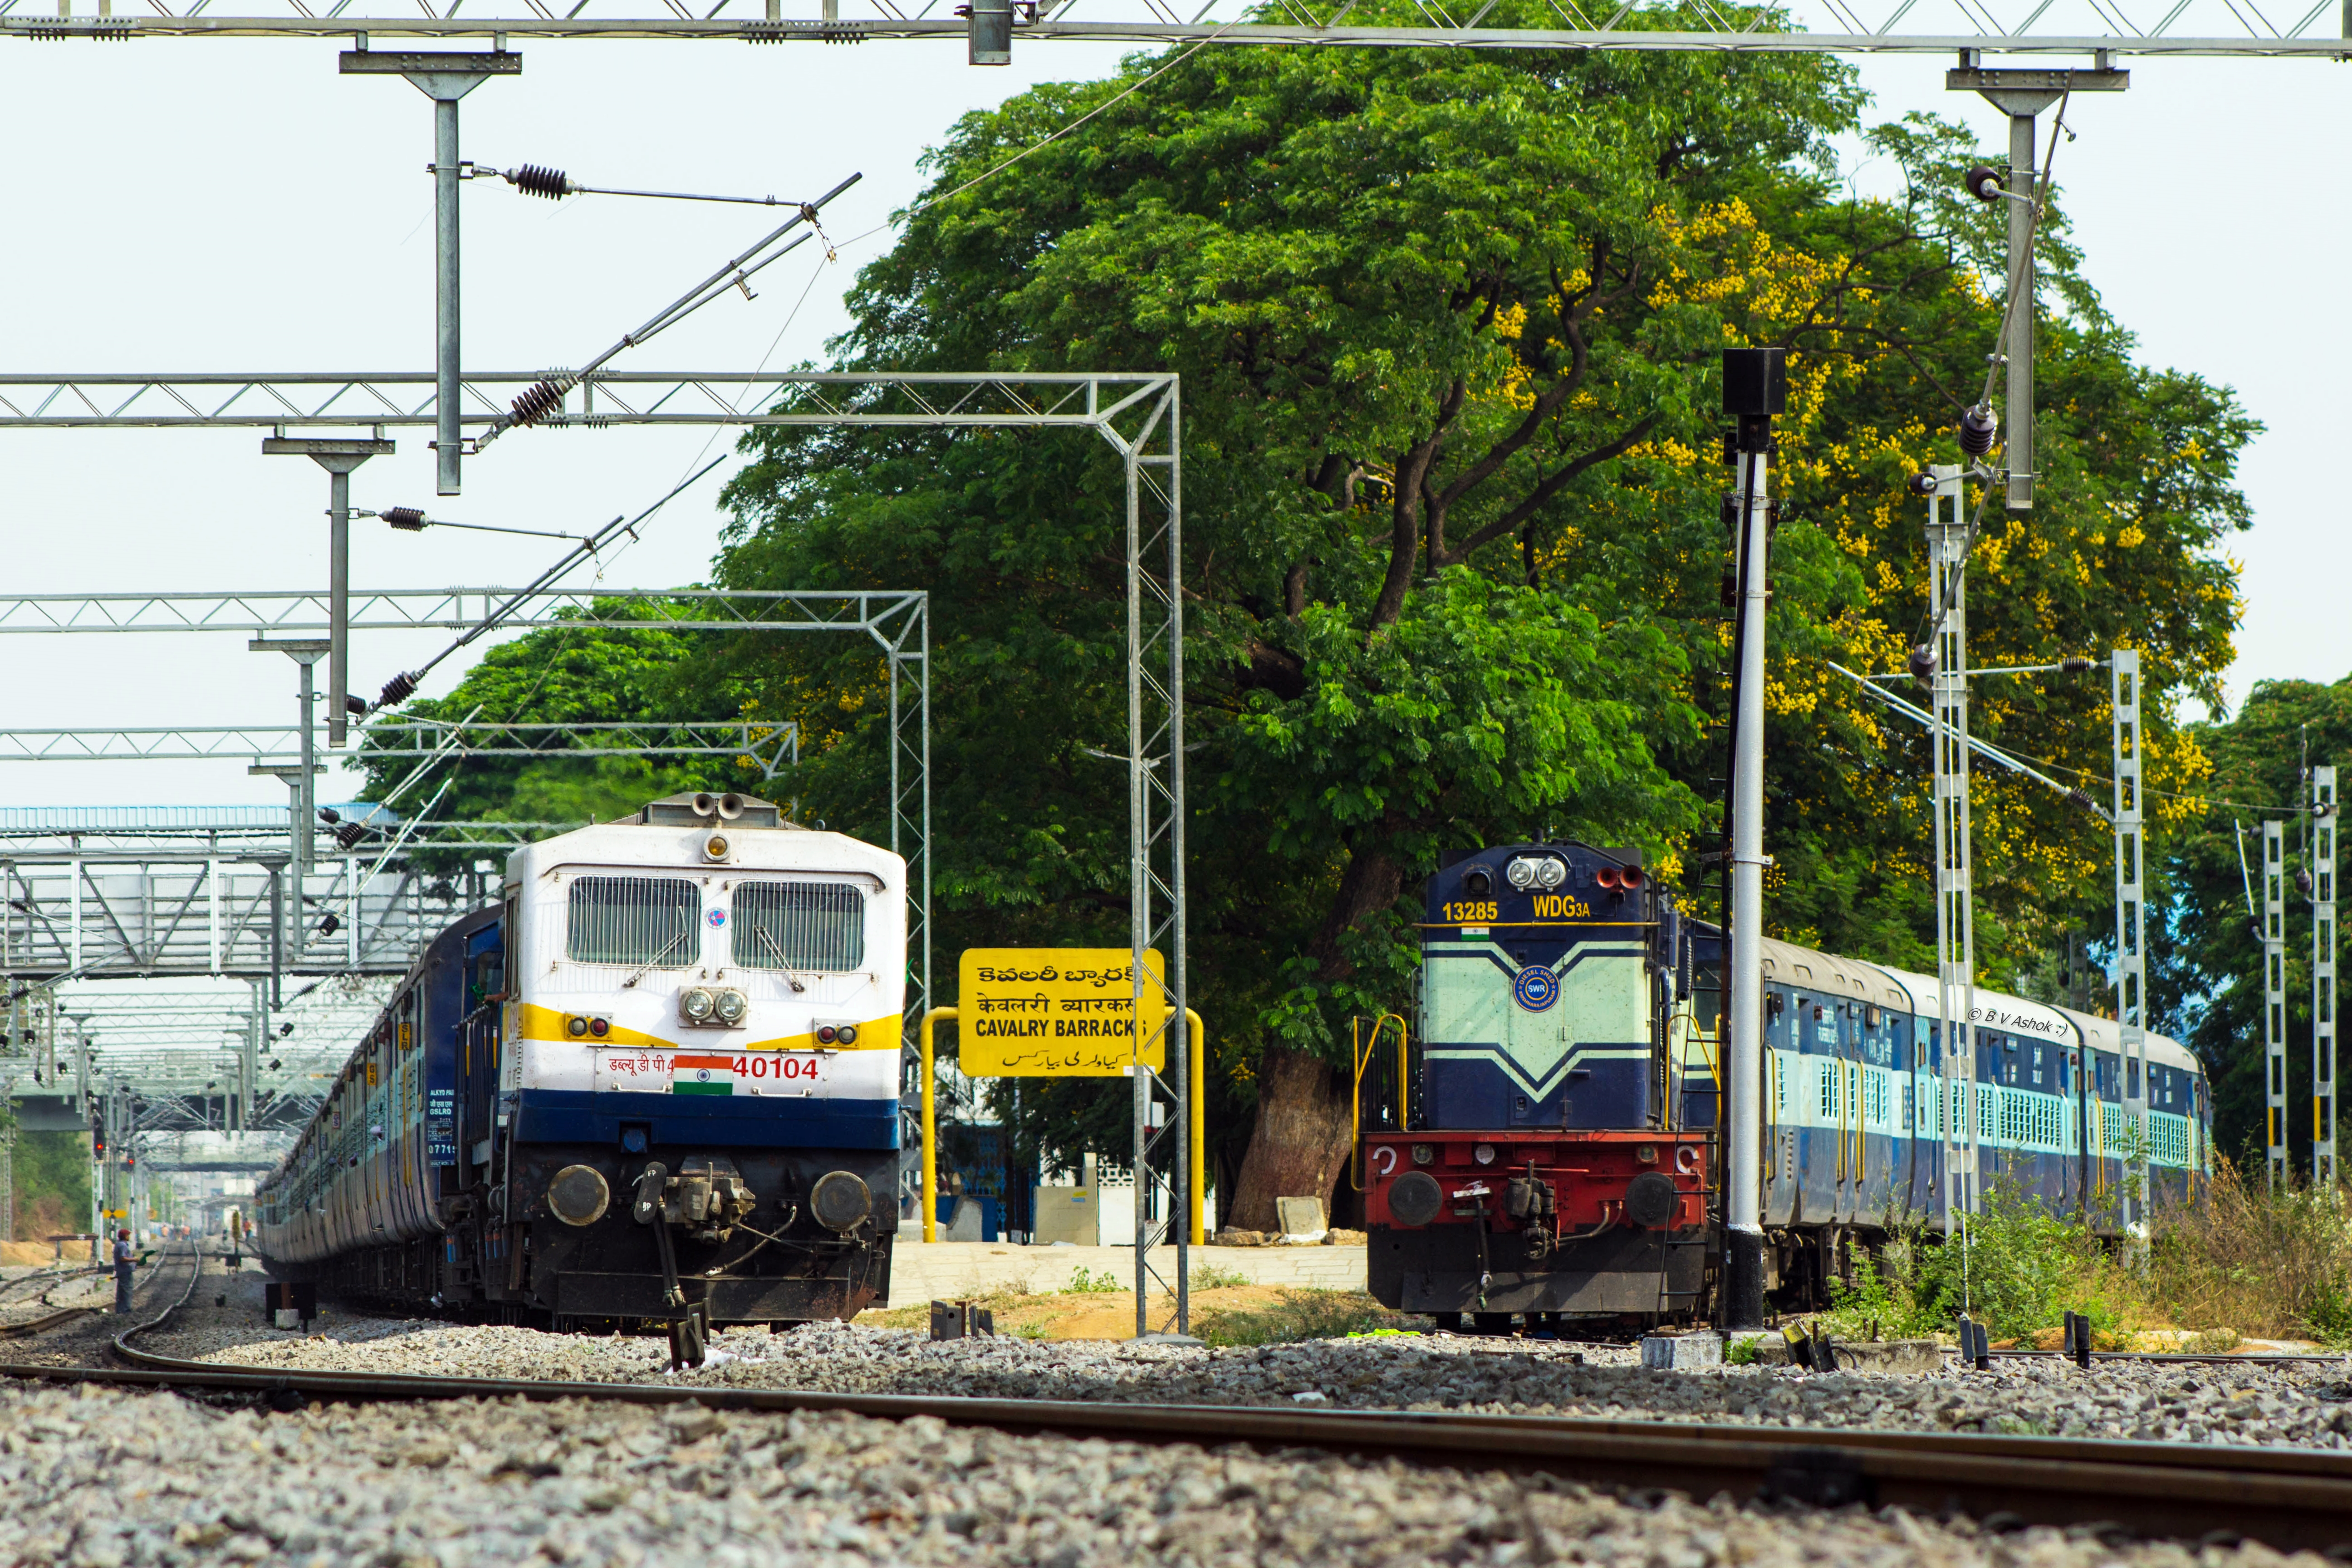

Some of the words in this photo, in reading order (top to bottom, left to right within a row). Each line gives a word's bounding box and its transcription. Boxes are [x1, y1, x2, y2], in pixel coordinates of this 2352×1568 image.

[1440, 898, 1499, 924] 13285
[1531, 893, 1591, 921] WDG3A
[975, 962, 1061, 985] కెవలరీ
[1064, 965, 1141, 991] బ్యారక్
[975, 989, 1051, 1015] केवलरी
[1059, 996, 1141, 1015] ब्यारकस
[974, 1015, 1050, 1040] CAVALRY
[1053, 1018, 1137, 1038] BARRACK
[608, 1052, 678, 1079] डब्ल्यू डी पी 4
[730, 1055, 820, 1082] 40104
[424, 1084, 456, 1098] ALKYOPA
[425, 1105, 455, 1118] GSLRO
[427, 1094, 455, 1109] जीएसएल